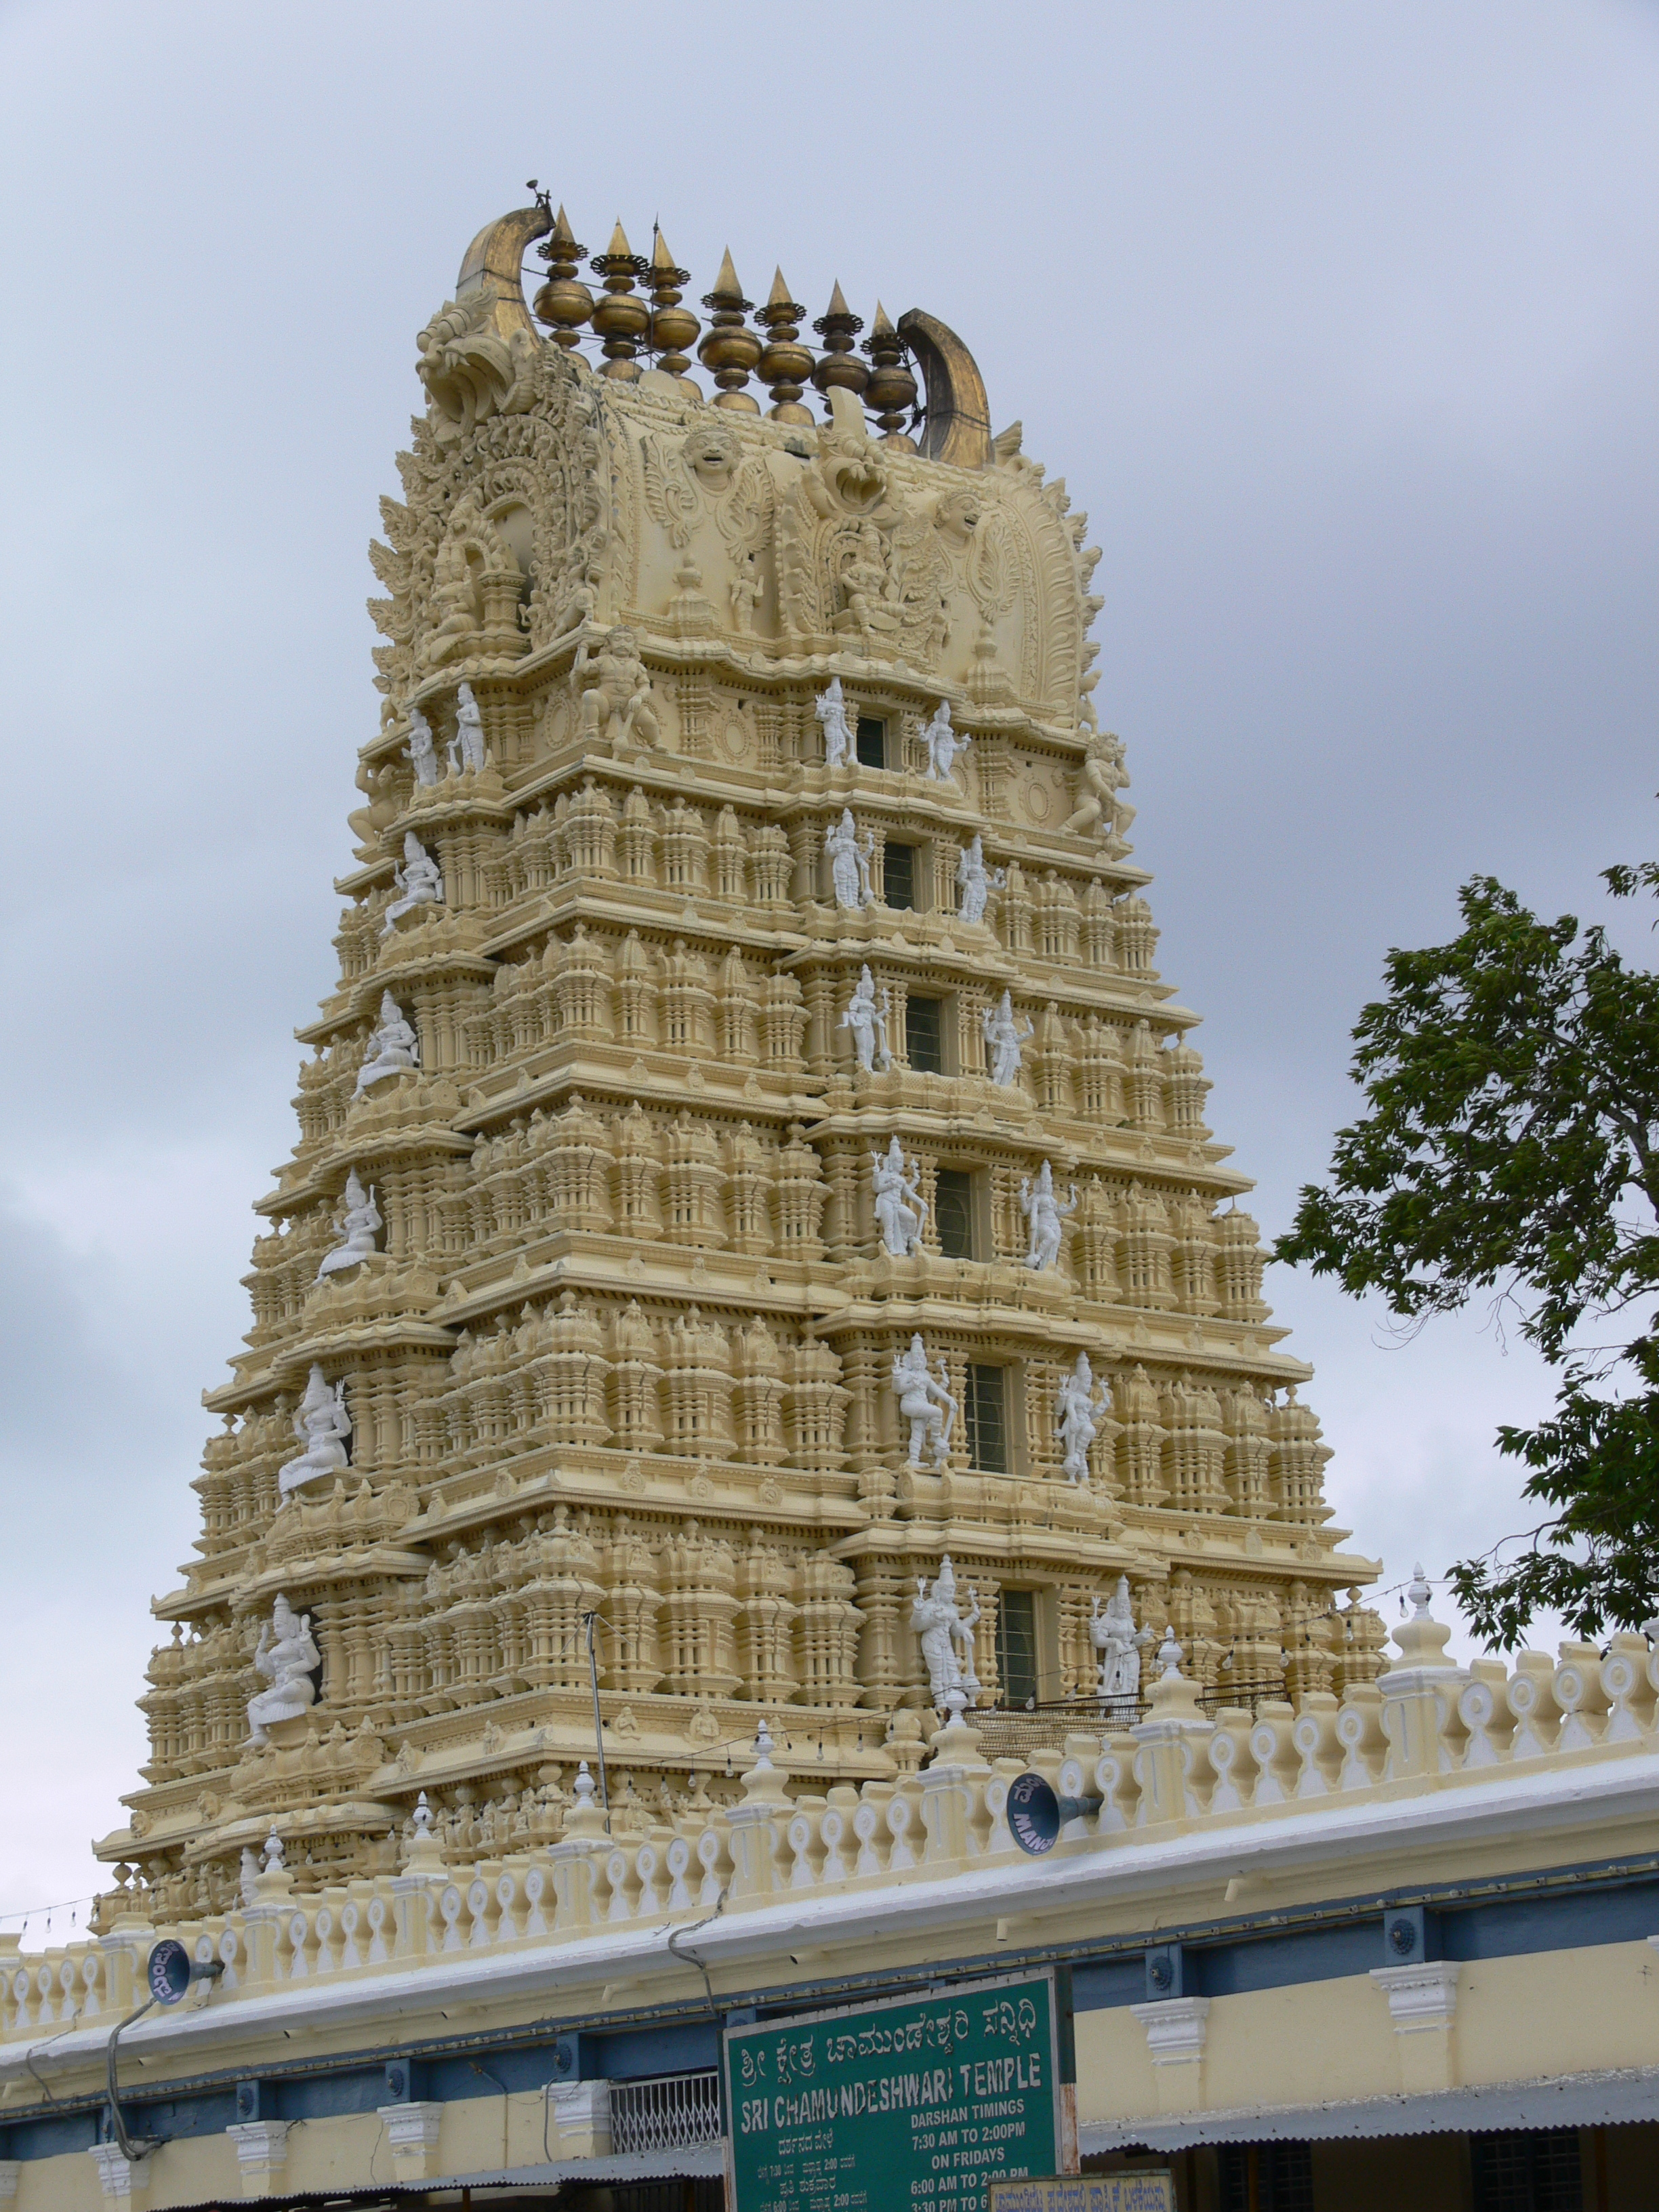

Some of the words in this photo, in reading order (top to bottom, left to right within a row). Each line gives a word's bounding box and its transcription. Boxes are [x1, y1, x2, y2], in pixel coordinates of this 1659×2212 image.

[823, 2003, 970, 2065] ಚಾಮುಂಡೇಶ್ವರಿ
[978, 1994, 1041, 2047] ಪನ್ನಿಧಿ
[735, 2039, 768, 2093] ಶ್ರೀ
[770, 2032, 819, 2087] ಕ್ಷೇತ್ರ
[957, 2049, 1045, 2102] TEMPLE
[735, 2094, 771, 2137] SRI
[771, 2064, 956, 2131] CHAMUNDESHWAR!
[907, 2102, 972, 2130] DARSHAN
[970, 2095, 1027, 2122] TIMINGS
[773, 2126, 838, 2158] ದರ್ಶನದ್ರವೇಳೆ
[909, 2129, 938, 2154] 7:30
[939, 2126, 959, 2150] AM
[956, 2126, 983, 2146] TO
[979, 2118, 1029, 2146] 2:00PM
[821, 2154, 840, 2176] 2:00
[837, 2152, 859, 2172] ರವರೆಗೆ
[926, 2150, 949, 2177] ON
[951, 2144, 1006, 2172] FRIDAYS
[796, 2173, 839, 2194] ಶುಕ್ರವಾರ
[906, 2176, 936, 2198] 6:00
[935, 2172, 960, 2195] AM
[957, 2171, 979, 2192] TO
[990, 2179, 1048, 2211] ಚಾಮುಂಡಿದಟ
[1042, 2179, 1090, 2211] ಪದೇಶದಲಿ
[1084, 2177, 1122, 2211] ಪಾಸಿಕ್
[1120, 2176, 1168, 2211] ಬಳಕೆಯನು